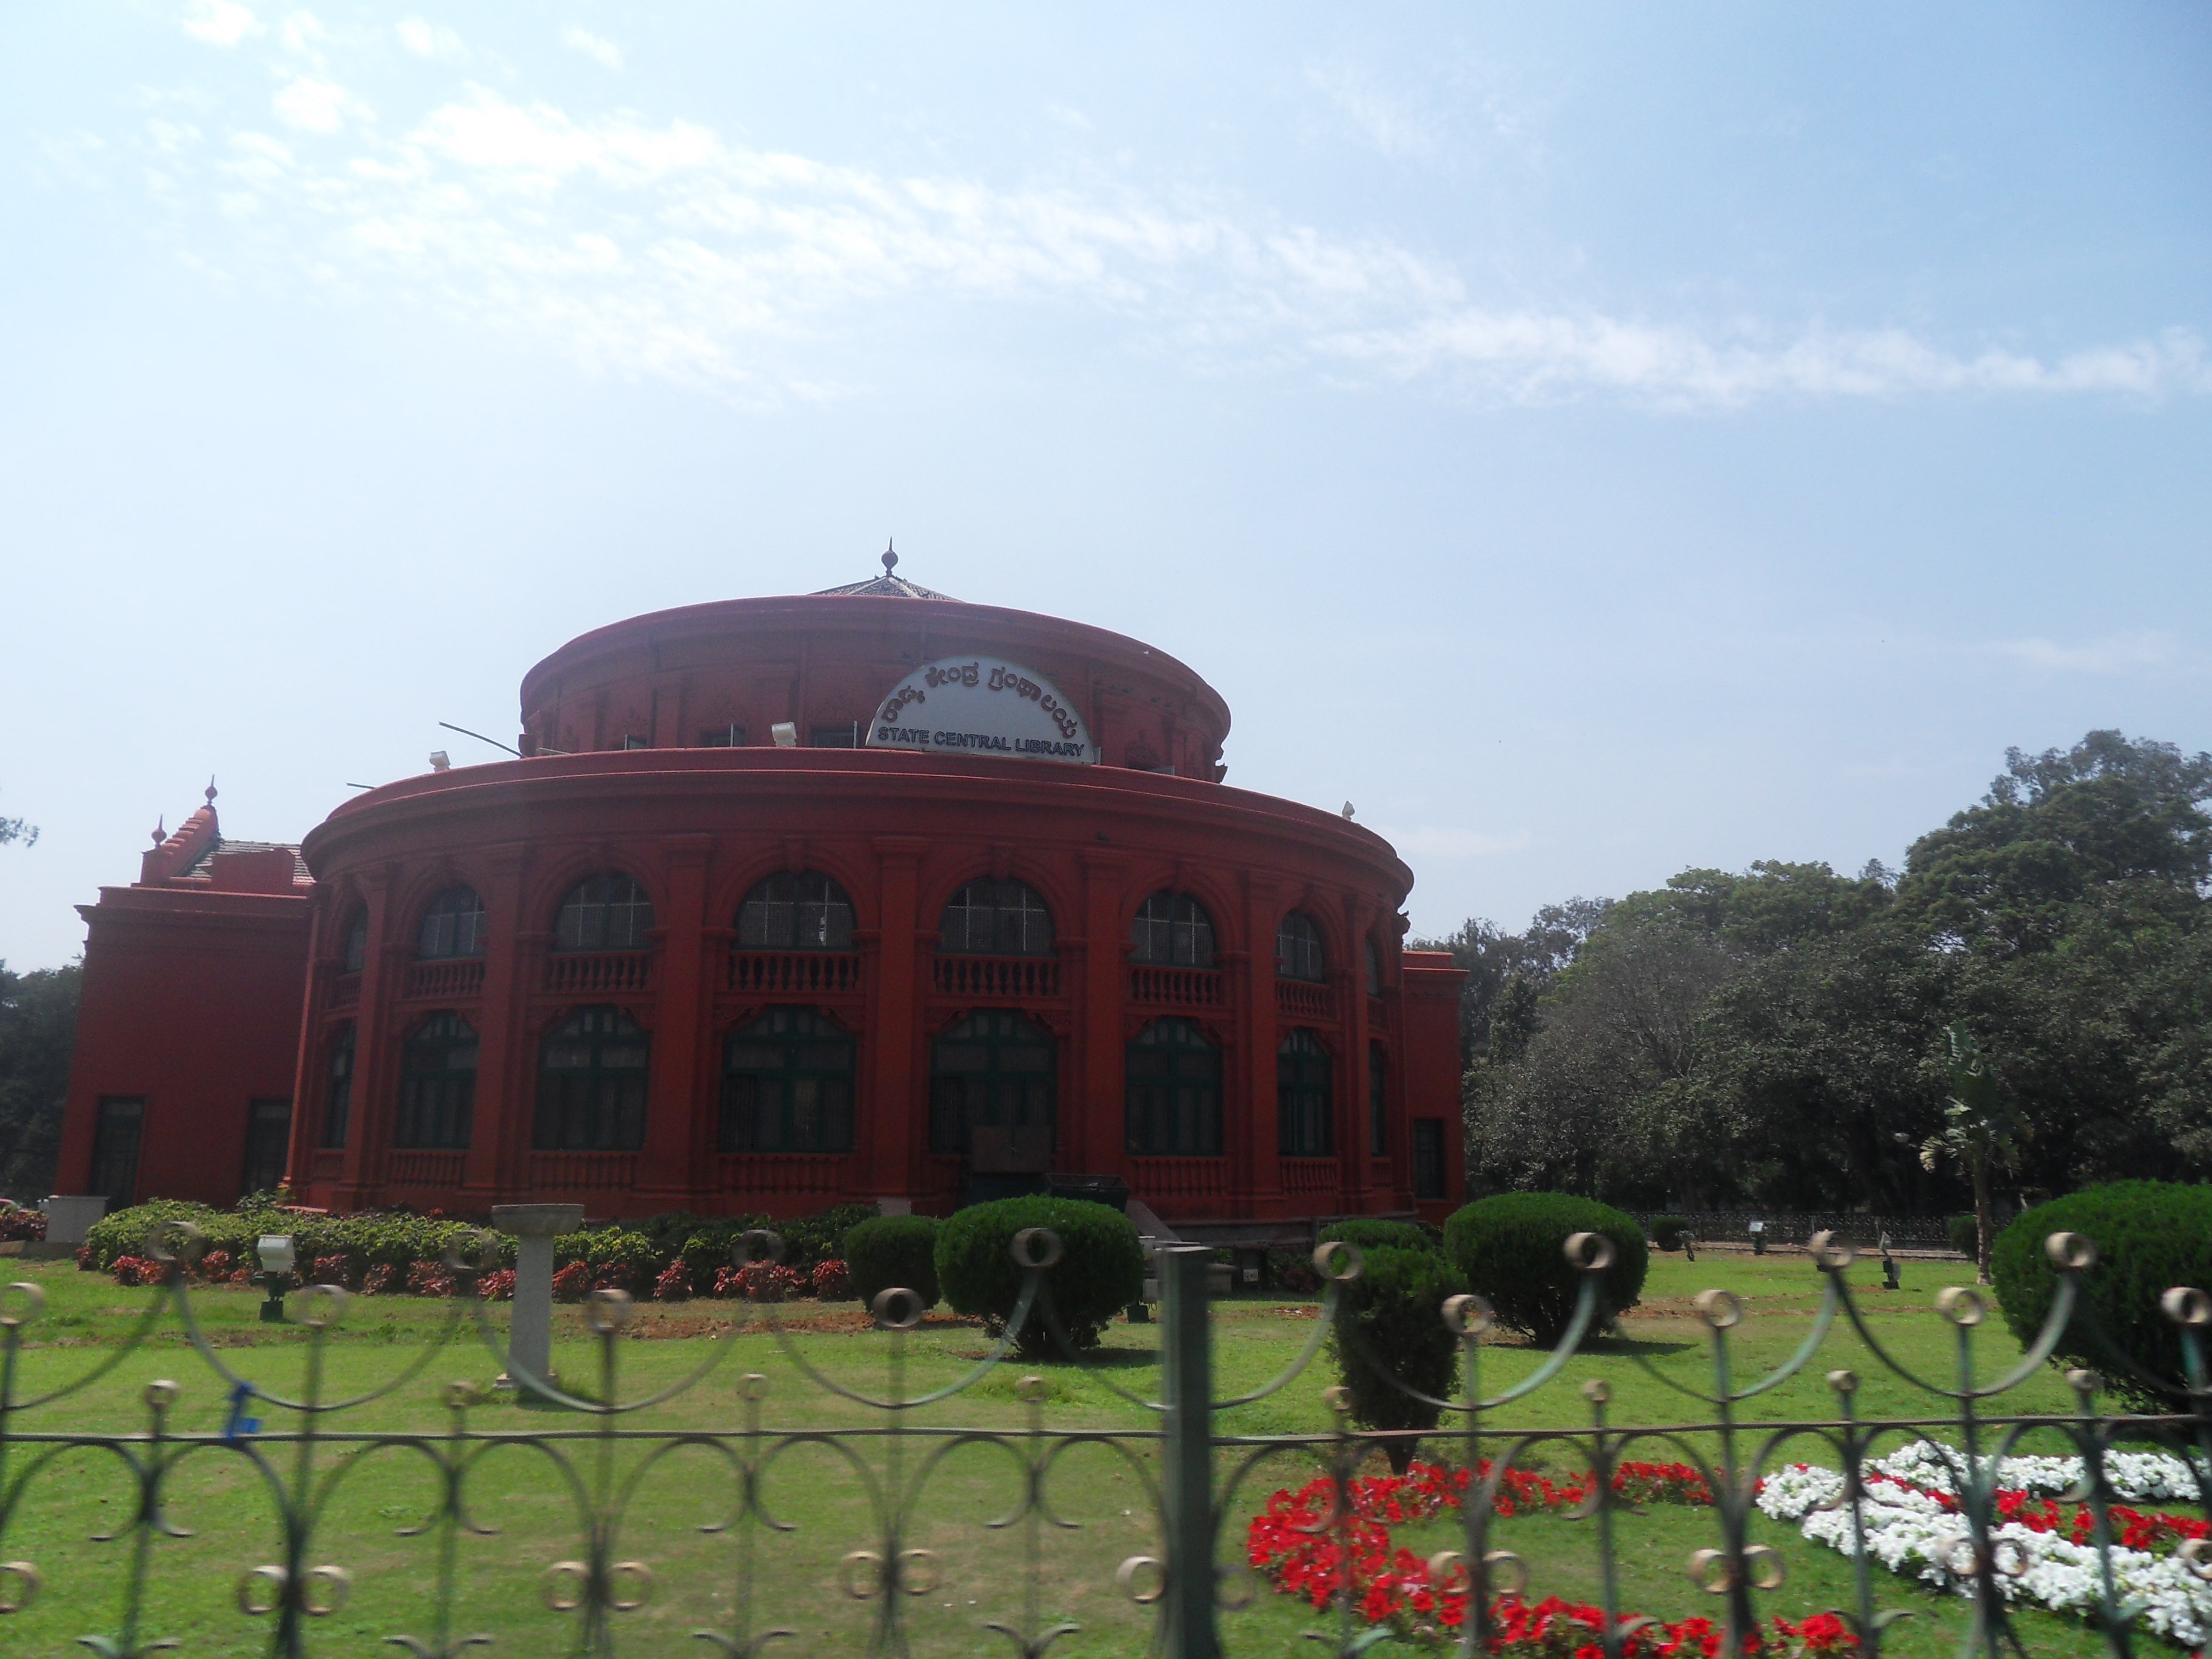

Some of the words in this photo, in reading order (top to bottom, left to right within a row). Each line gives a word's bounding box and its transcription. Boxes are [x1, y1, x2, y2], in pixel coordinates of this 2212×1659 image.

[919, 660, 982, 691] ಕೇಂದ್ರ
[879, 681, 930, 728] ರಾಜ್ಯ
[985, 663, 1081, 739] ಗ್ರಂಥಾಲಯ
[875, 723, 931, 747] STATE
[932, 725, 1013, 752] CENTRAL
[1013, 735, 1085, 758] LIBRARY